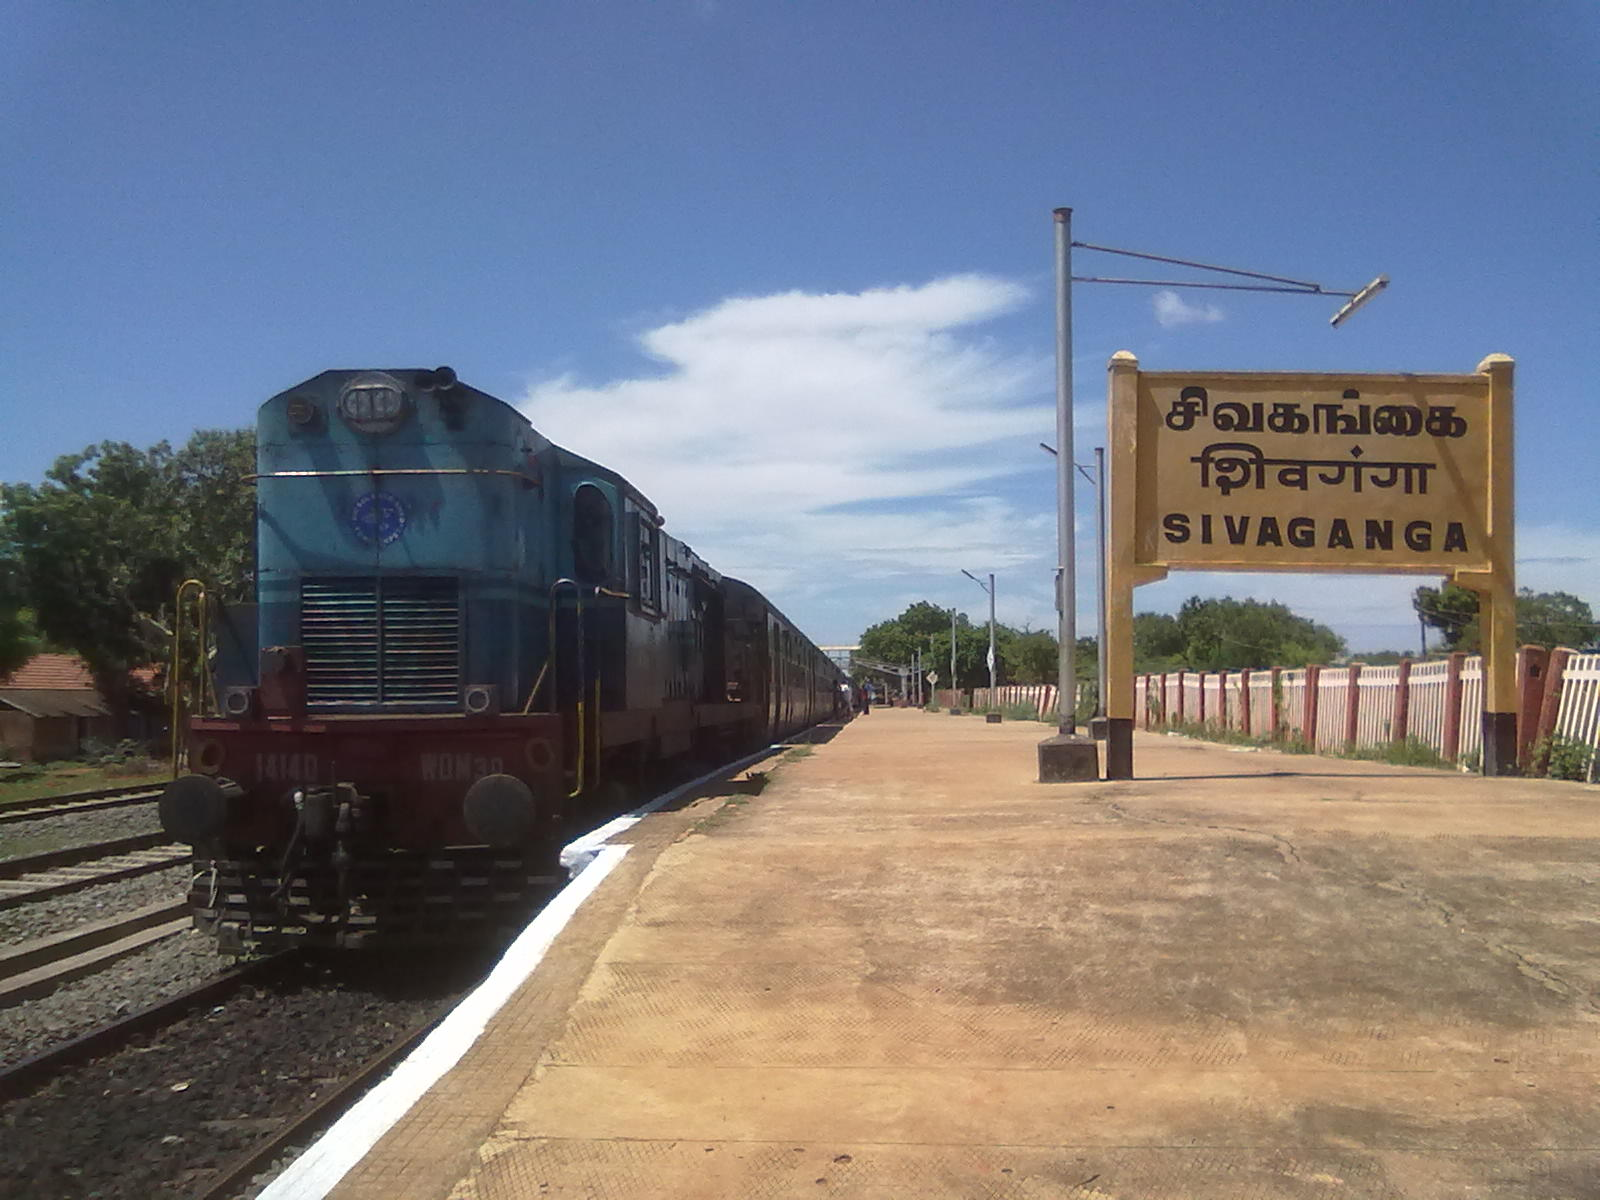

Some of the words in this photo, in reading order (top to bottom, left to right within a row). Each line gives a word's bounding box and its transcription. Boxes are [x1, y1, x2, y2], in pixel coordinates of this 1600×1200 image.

[1158, 380, 1473, 442] சிவகங்கை
[1187, 436, 1436, 500] शिवगंगा
[1159, 505, 1473, 560] SIVAGANGA